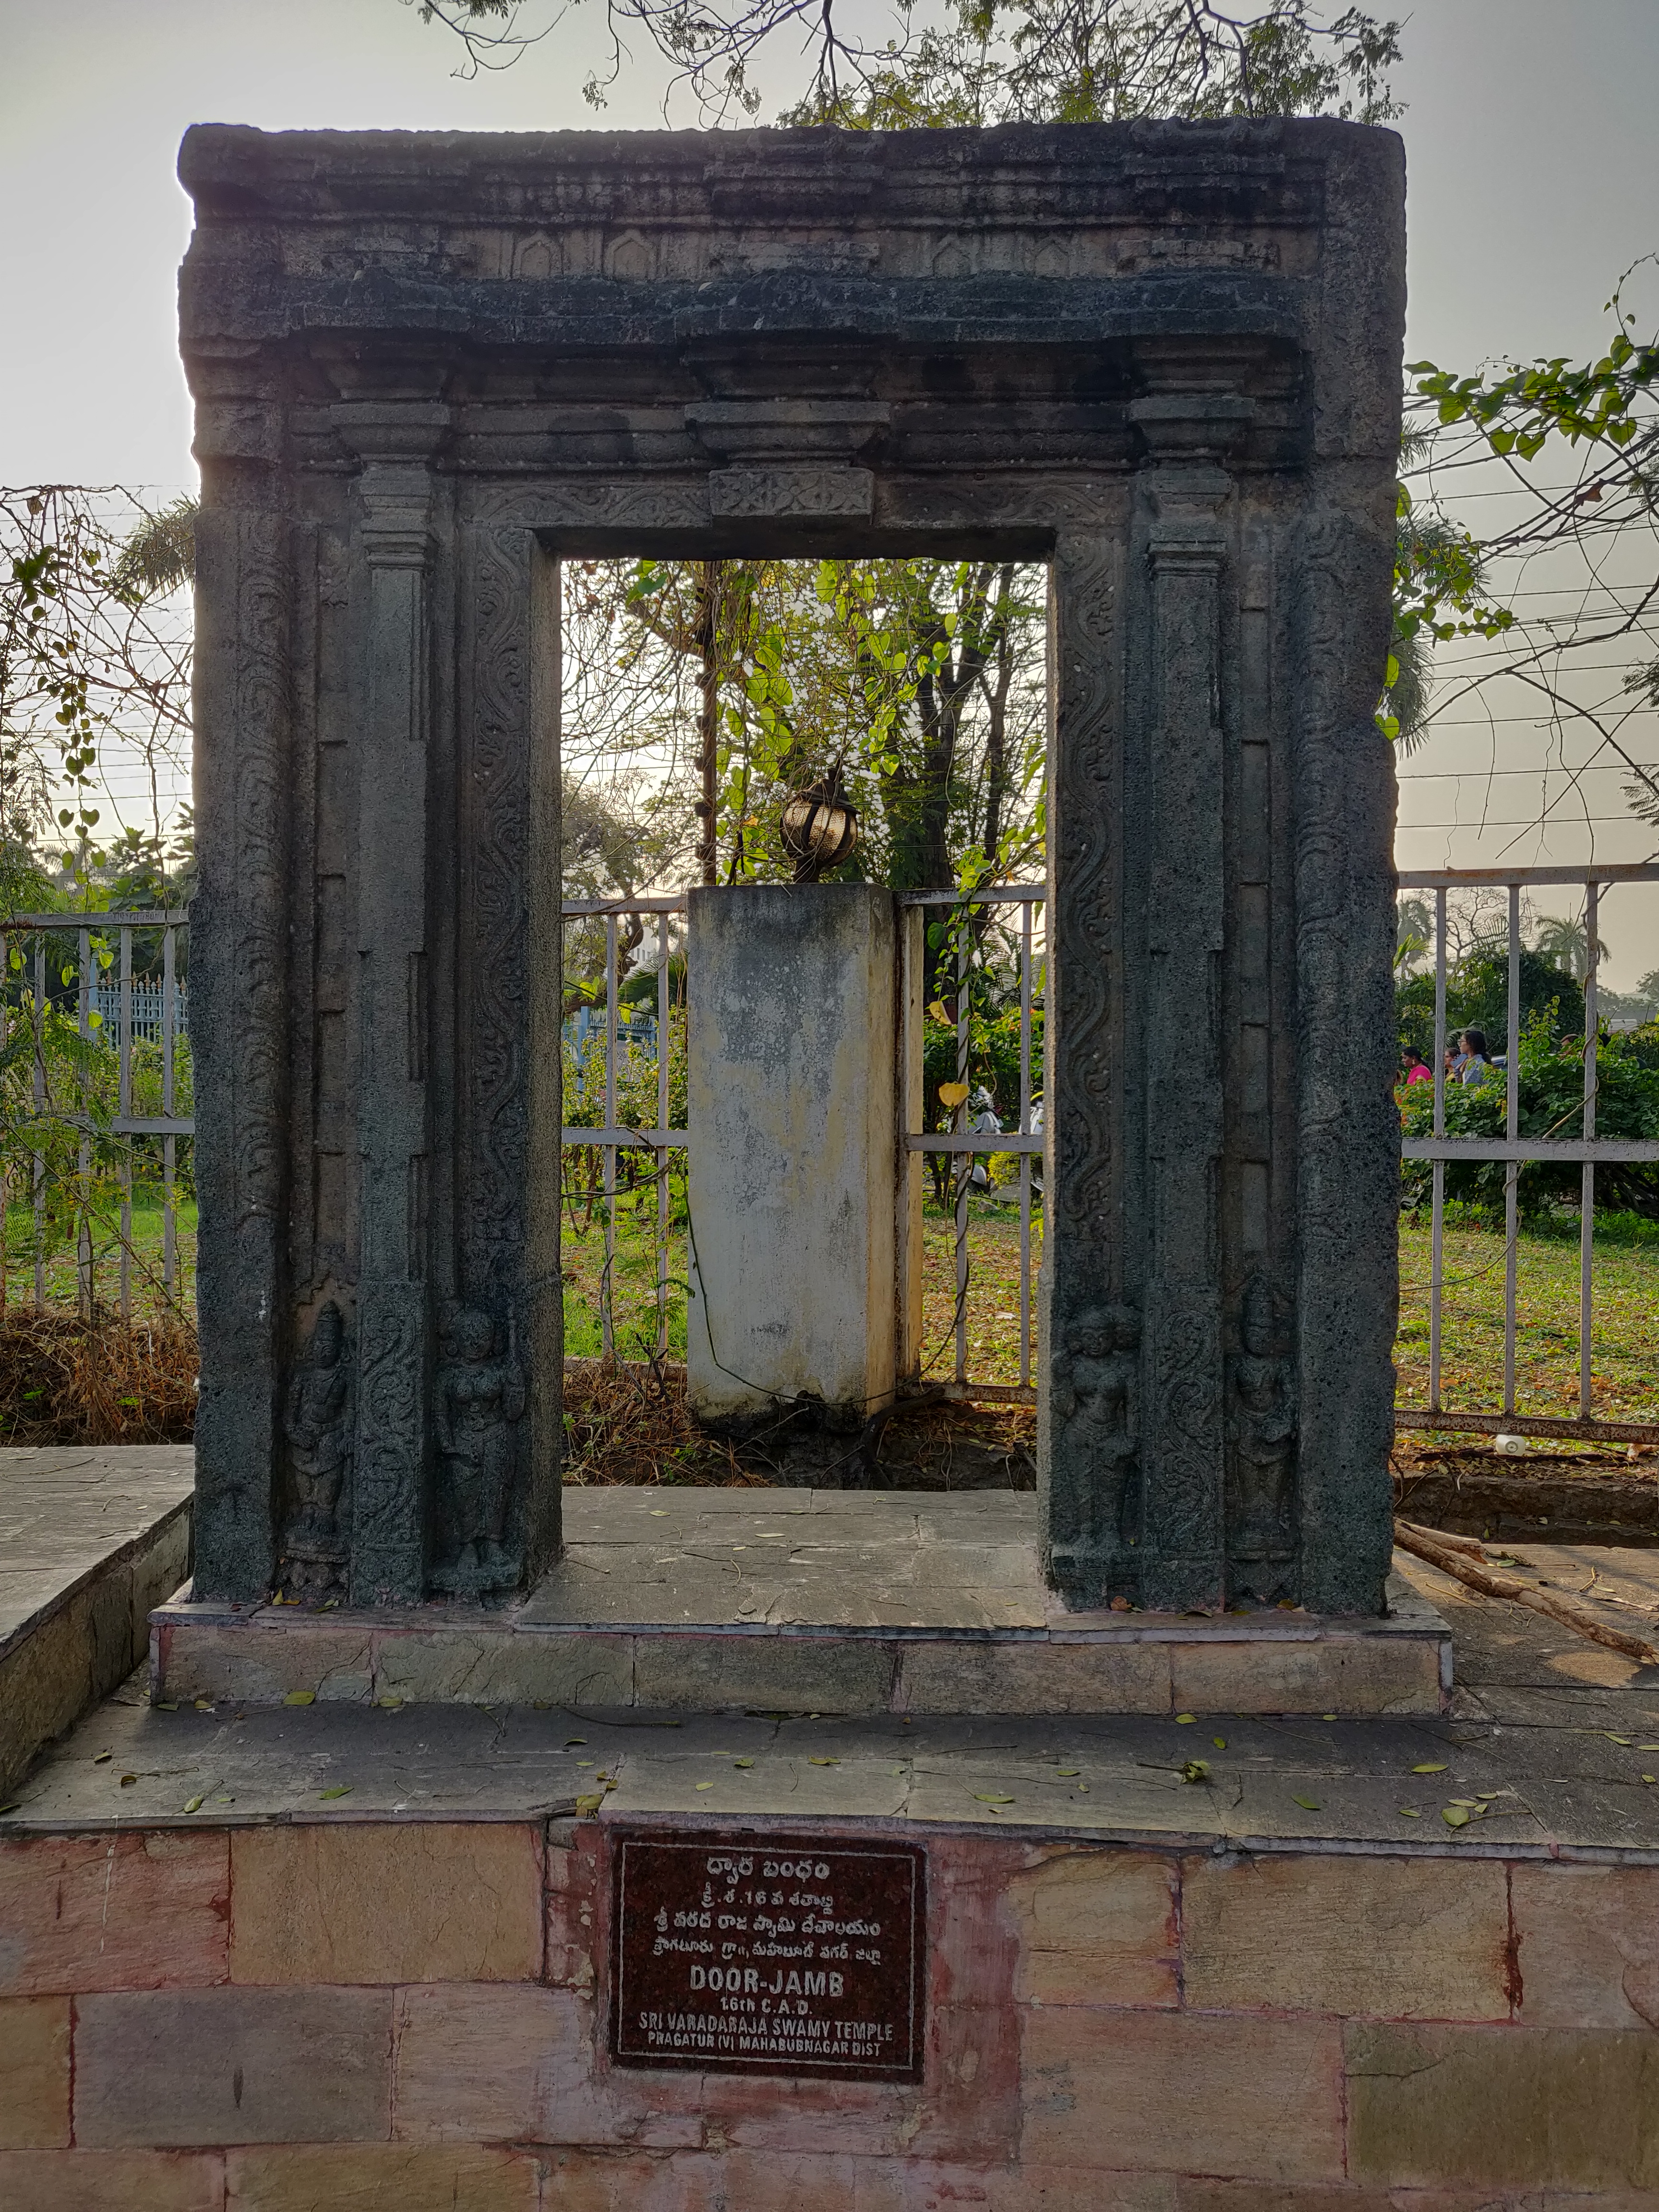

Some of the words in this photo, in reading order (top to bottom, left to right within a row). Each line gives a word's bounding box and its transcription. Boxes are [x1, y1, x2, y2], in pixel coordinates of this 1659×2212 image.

[701, 1848, 759, 1889] ద్వార
[758, 1857, 832, 1886] బంధం
[651, 1901, 712, 1932] శ్రీవరద
[714, 1910, 750, 1934] రాజ
[695, 1876, 787, 1912] క్రీ.శ.16 వ
[748, 1912, 799, 1943] స్వామి
[785, 1890, 835, 1918] శతాబ్ది
[798, 1910, 881, 1938] దేవాలయం
[648, 1930, 714, 1959] ప్రాగటంకు
[717, 1938, 817, 1962] గ్రా॥,మహబూబ్
[815, 1941, 852, 1963] సగర్
[852, 1944, 883, 1969] జిల్లా
[685, 1960, 848, 2000] DOOR-JAMB
[716, 1995, 756, 2016] 1.6th
[758, 1993, 814, 2020] C.A.D.
[636, 2009, 664, 2033] SRI
[644, 2028, 715, 2051] PRAGATUR
[663, 2008, 768, 2038] VARADARAJA
[714, 2029, 737, 2054] (V)
[735, 2032, 850, 2057] MAHABUBNAGAR
[768, 2015, 830, 2043] SWAMV
[829, 2018, 894, 2044] TEMPLE
[850, 2036, 884, 2061] DIST